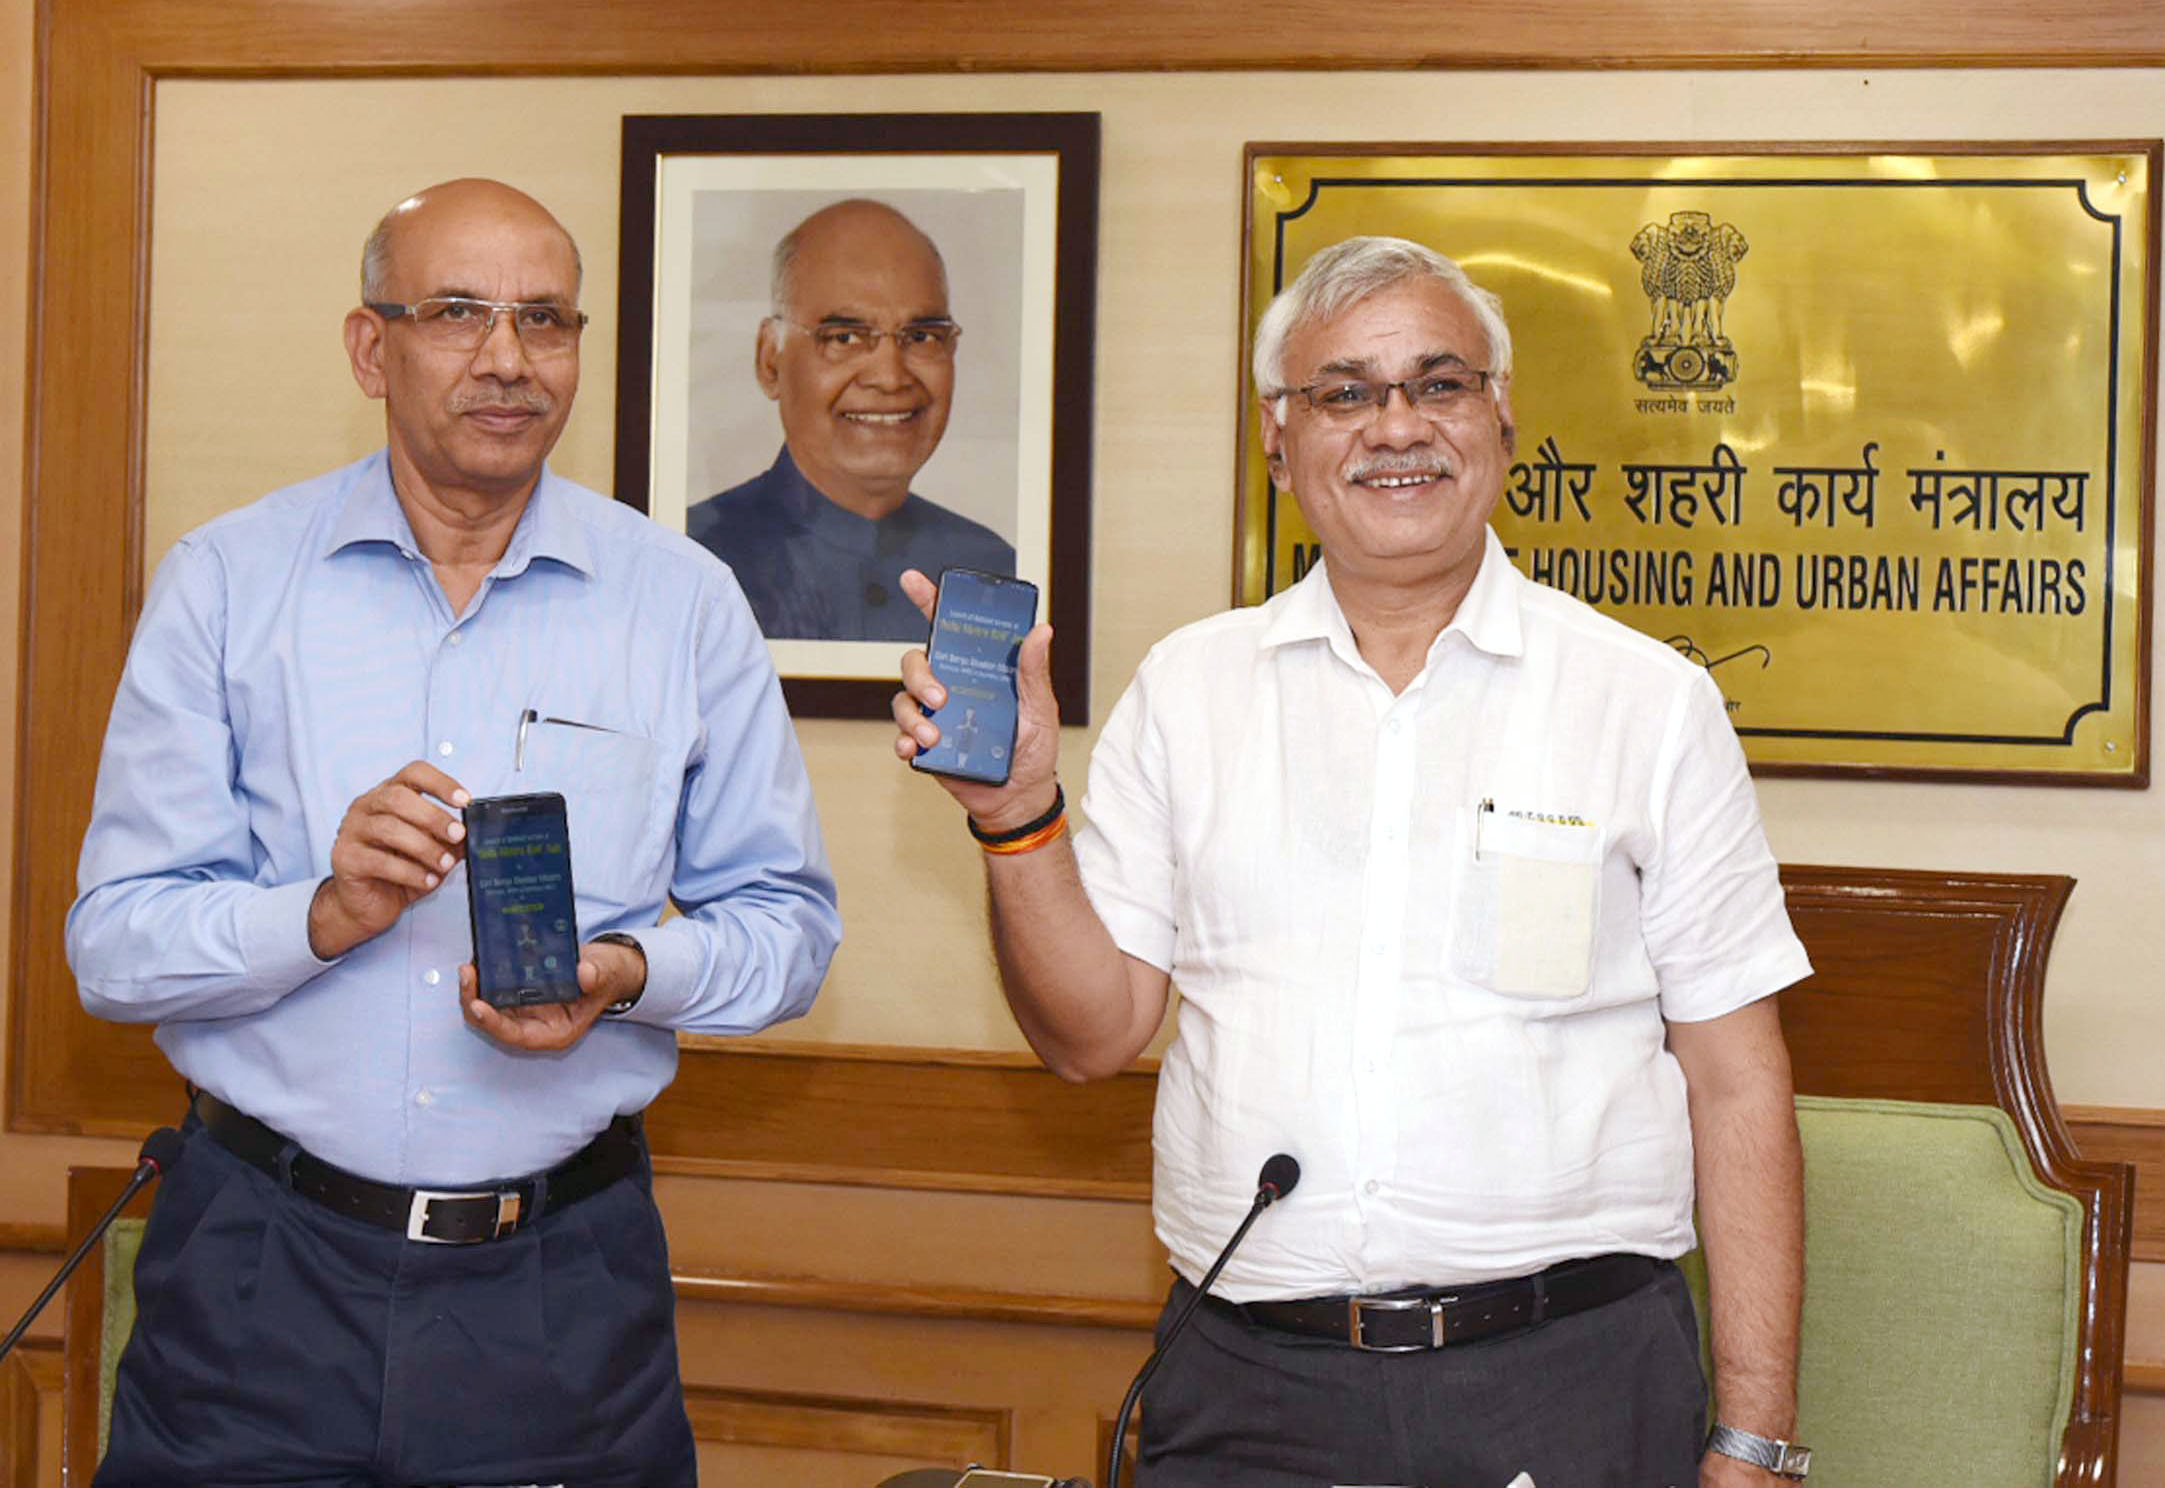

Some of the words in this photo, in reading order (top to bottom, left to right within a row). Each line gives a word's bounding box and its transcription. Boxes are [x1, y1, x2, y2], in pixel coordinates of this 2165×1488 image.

[1629, 384, 1694, 422] सत्यमेव
[1690, 387, 1744, 424] जयते
[1503, 425, 1605, 531] और
[1614, 443, 1747, 532] शहरी
[1770, 434, 1886, 535] कार्य
[1899, 445, 2095, 540] मंत्रालय
[1529, 543, 1696, 615] OUSING
[1691, 540, 1789, 617] AND
[1793, 545, 1923, 620] URBAN
[1931, 552, 2095, 622] AFFAIRS